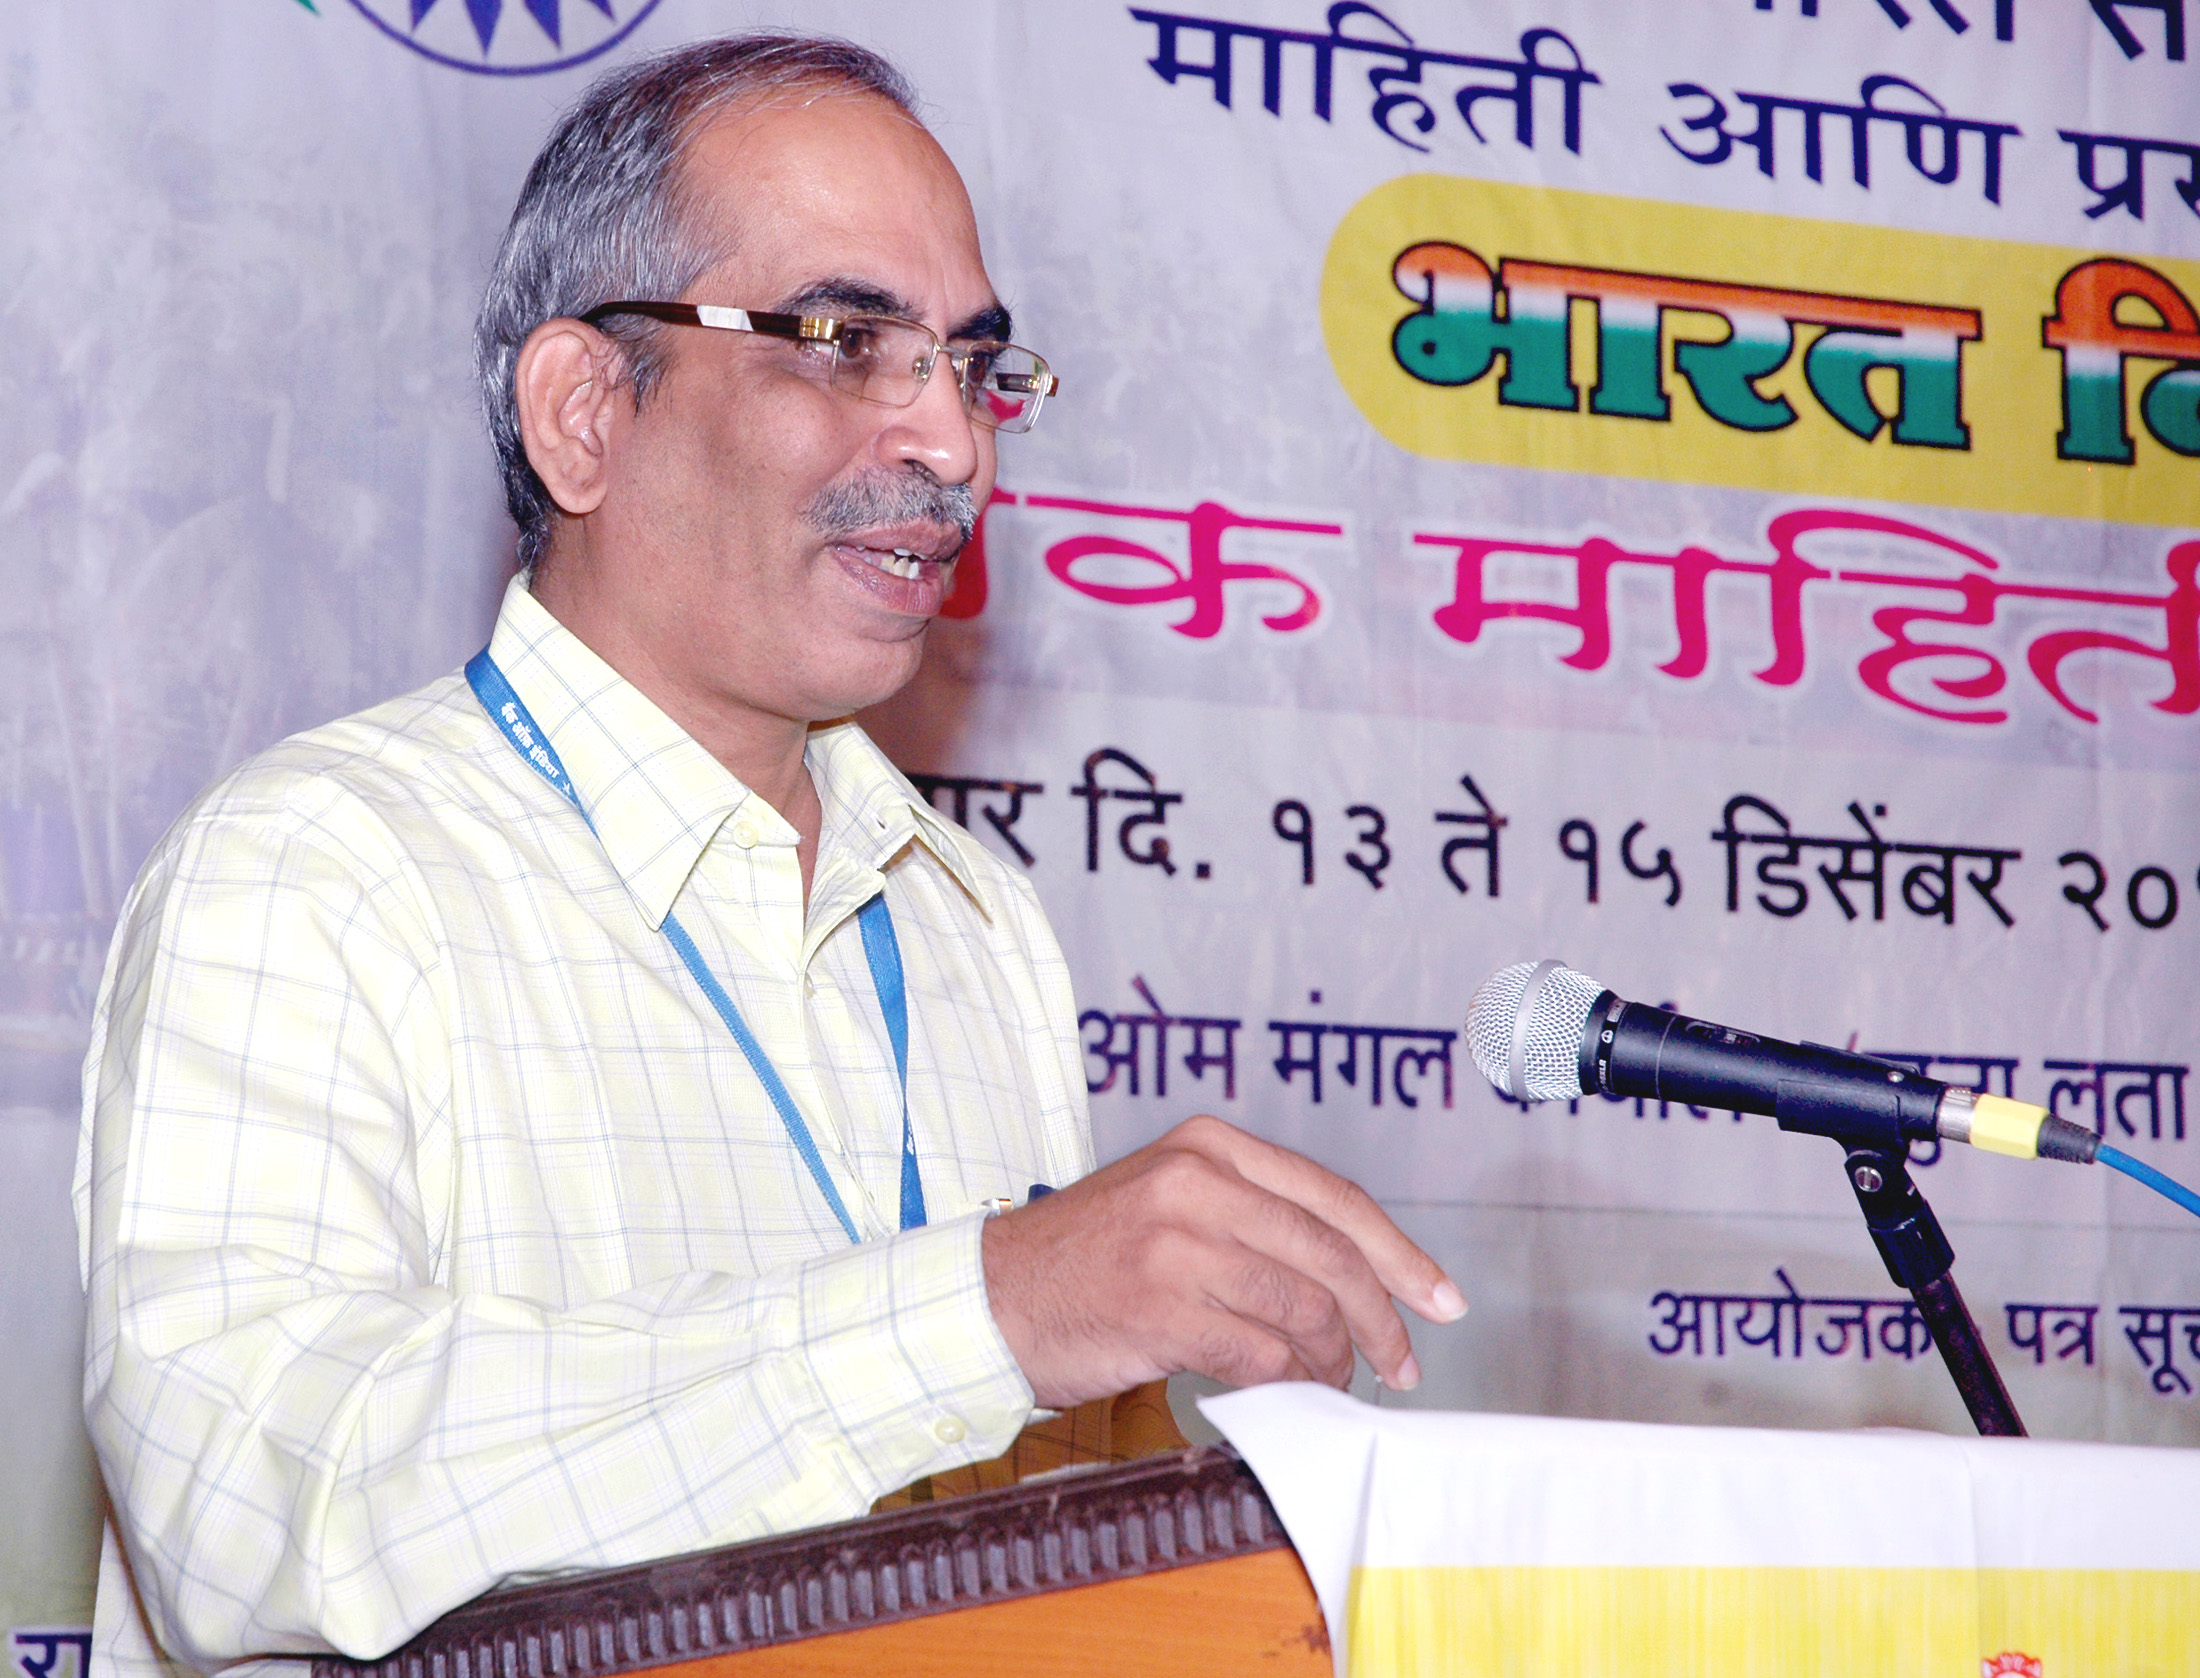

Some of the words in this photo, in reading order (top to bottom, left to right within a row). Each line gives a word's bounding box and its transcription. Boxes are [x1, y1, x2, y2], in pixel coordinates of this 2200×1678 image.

[1131, 1, 1610, 163] माहिती
[1659, 65, 2028, 212] आणि
[1383, 227, 1986, 453] भारत
[1018, 485, 1350, 645] क
[1415, 496, 2198, 731] माहिती
[1055, 741, 1217, 887] दि.
[1265, 769, 1515, 901] १३ते
[1544, 791, 1688, 930] १५
[1699, 784, 2029, 942] डिसेंबर
[2049, 839, 2193, 944] २०
[1069, 965, 1244, 1107] ओम
[1266, 975, 1460, 1114] मंगल
[2036, 1053, 2196, 1154] लता
[1644, 1261, 1937, 1368] आयोजक
[2000, 1297, 2114, 1384] पत्र
[2117, 1297, 2199, 1399] सूच